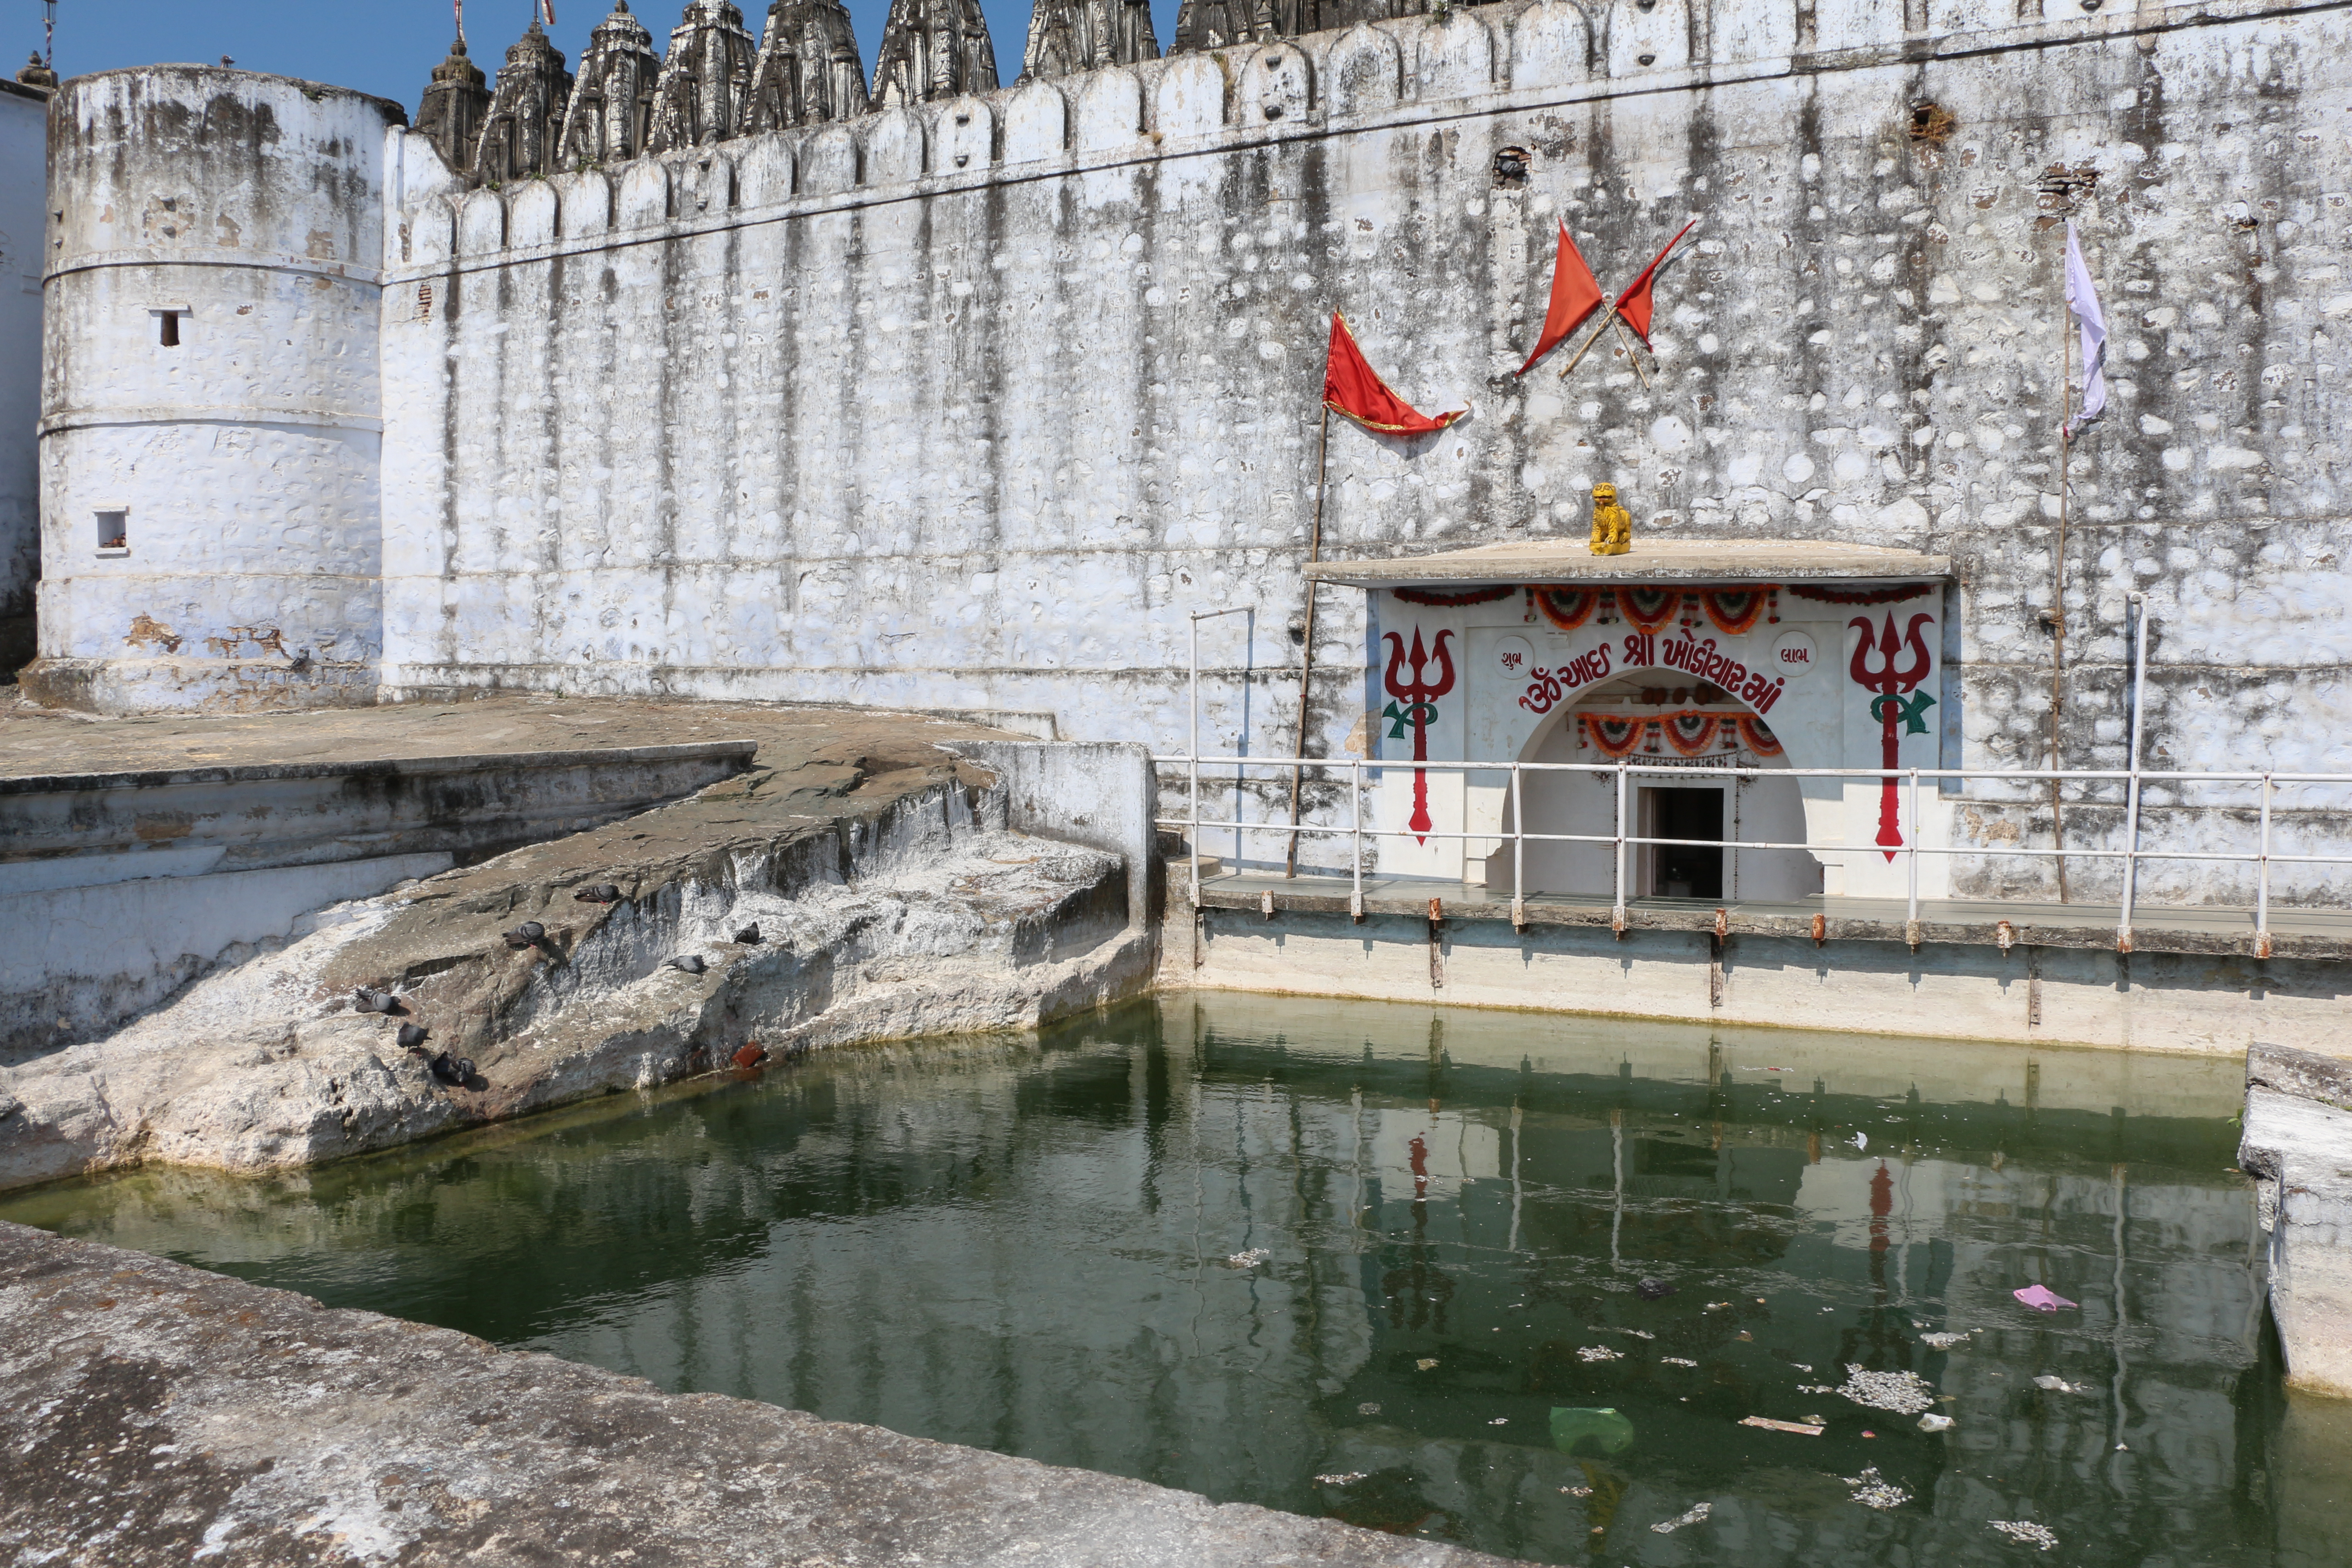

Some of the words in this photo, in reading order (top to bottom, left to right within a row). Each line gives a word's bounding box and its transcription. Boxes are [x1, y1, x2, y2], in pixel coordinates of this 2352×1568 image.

[1498, 650, 1526, 672] શુભ
[1554, 638, 1615, 691] આઈ
[1620, 623, 1659, 667] શ્રી
[1658, 626, 1754, 697] ખોડીયાર
[1778, 647, 1811, 665] લાભ
[1516, 663, 1566, 721] ૐ
[1740, 671, 1788, 716] માં